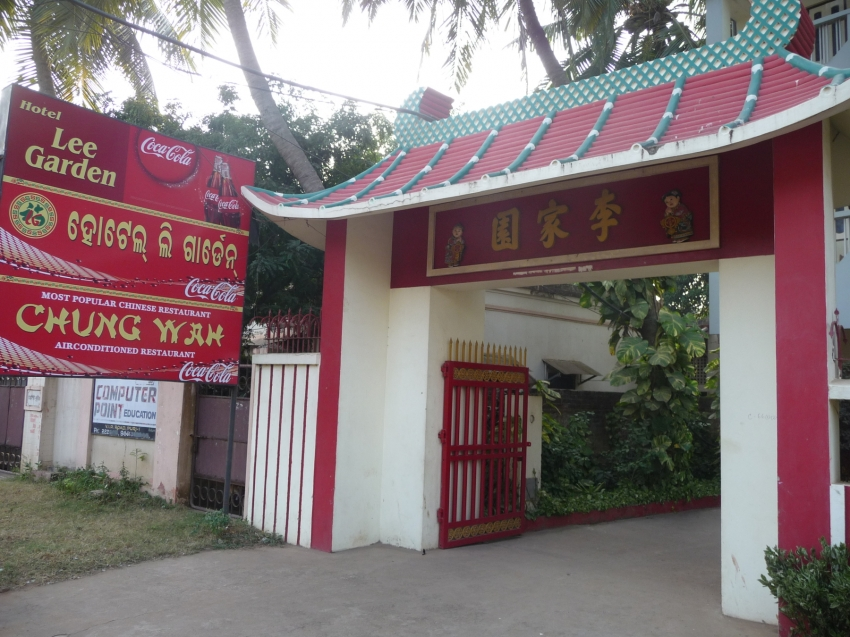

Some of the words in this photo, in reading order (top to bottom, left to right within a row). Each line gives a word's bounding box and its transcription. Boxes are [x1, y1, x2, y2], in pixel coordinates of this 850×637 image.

[19, 95, 67, 127] Hotel
[51, 125, 100, 159] Lee
[137, 129, 197, 170] Coca-Cola
[16, 139, 122, 190] Garden
[201, 185, 227, 209] coca
[211, 191, 247, 213] CocaCola
[58, 207, 151, 267] ହୋଟେଲ୍
[149, 213, 181, 263] ଲି
[177, 227, 247, 275] ଗାର୍ଡେନ୍
[34, 287, 74, 309] MOST
[11, 299, 147, 347] CHUNG
[66, 291, 120, 310] POPULAR
[117, 297, 161, 317] CHINESE
[157, 301, 213, 321] RESTAURANT
[150, 315, 229, 350] WAH
[46, 336, 142, 357] AIRCONDITIONED
[137, 343, 198, 361] RESTAURANT
[173, 355, 238, 388] CocaCola
[91, 378, 161, 405] COMPUTER
[91, 397, 127, 423] POINT
[119, 406, 159, 423] EDUCATION